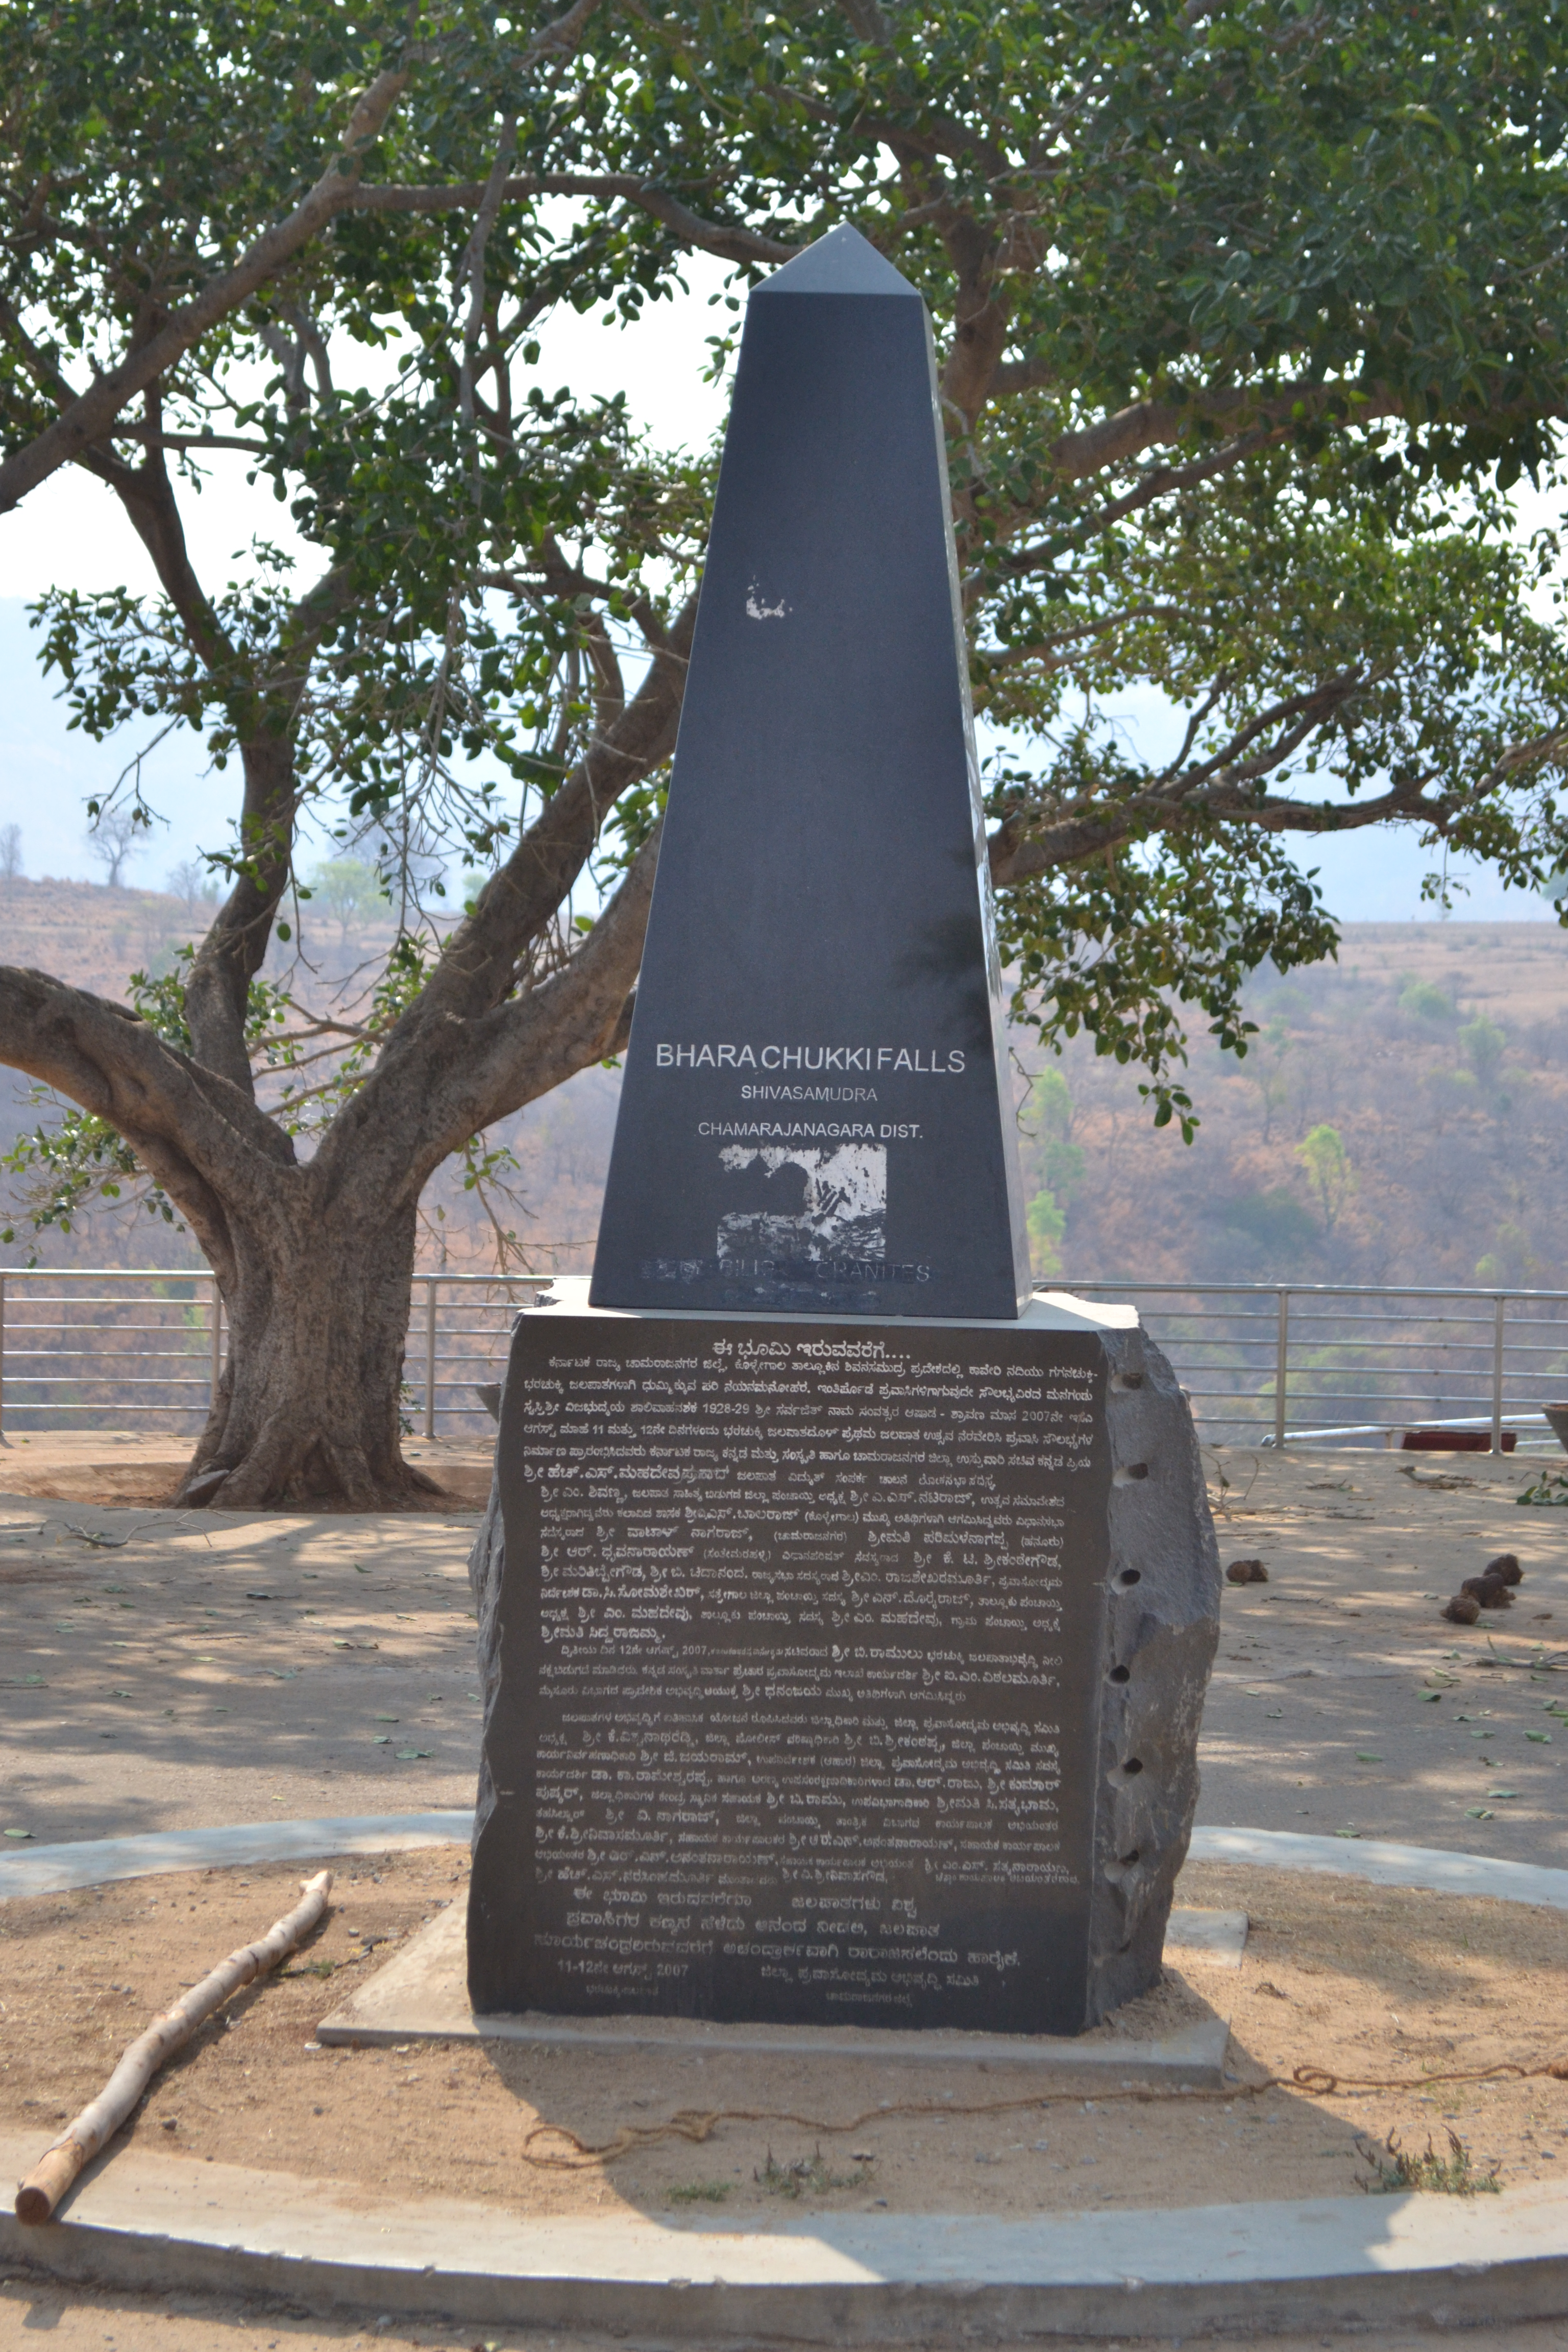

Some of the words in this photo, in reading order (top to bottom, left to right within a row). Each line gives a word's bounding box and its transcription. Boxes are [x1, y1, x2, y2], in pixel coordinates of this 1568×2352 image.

[652, 1040, 877, 1073] BHARACHUKKI
[874, 1043, 968, 1074] FALLS
[736, 1081, 880, 1104] SHIVASAMUDRA
[694, 1118, 877, 1140] CHAMARAJANAGARA
[873, 1121, 924, 1142] DIST.
[709, 1331, 793, 1360] ಈಭೂಮಿ
[790, 1336, 889, 1363] ಇರುವವರೆಗೆ
[521, 1375, 567, 1397] ಭರಚುಕ್ಕಿ
[547, 1351, 593, 1372] ಕರ್ನಾಟಕ
[568, 1376, 638, 1392] ಜಲಪಾತಗಳಾಗಿ
[594, 1357, 623, 1373] ರಾಜ್ಯ
[625, 1357, 702, 1370] ಚಾಮರಾಜನಗರ
[640, 1377, 699, 1397] ಧುಮ್ಮಕ್ಕವ
[700, 1376, 721, 1394] ಪರಿ
[699, 1353, 729, 1375] ಜಿಲ್ಲೆ,
[730, 1354, 789, 1374] ಕೊಳ್ಳೇಗಾಲ
[723, 1377, 813, 1395] ನಯನಮನೋಹರ
[788, 1359, 841, 1377] ತಾಲ್ಲೂಕಿನ
[816, 1378, 875, 1397] ಇಂತಿರ್ಪೊಡ
[840, 1359, 907, 1379] ಶಿವನಸಮುದ್ರ
[877, 1379, 977, 1402] ಪ್ರವಾಸಿಗಳಿಗಾಗುವುದೇ
[909, 1360, 965, 1380] ಪ್ರದೇಶದಲ್ಲಿ
[966, 1361, 1004, 1379] ಕಾವೇರಿ
[973, 1385, 1044, 1404] ಸೌಲಭ್ಯವಿರದ
[1004, 1361, 1046, 1380] ನದಿಯು
[1045, 1385, 1095, 1404] ಮನಗಂಡು
[1045, 1364, 1098, 1386] ಗಗನಚುಕ್ಕಿ
[521, 1418, 559, 1439] ಆಗಸ್ಟ್
[521, 1395, 562, 1418] ಸ್ವಸ್ತಿಶ್ರೀ
[521, 1443, 568, 1459] ನಿರ್ಮಾಣ
[558, 1417, 591, 1438] ಮಾಹ
[563, 1398, 627, 1418] ವಿಜಭುದ್ಯಯ
[590, 1423, 606, 1437] 11
[565, 1440, 649, 1461] ಪ್ರಾರಂಭಿಸಿದವರು
[605, 1420, 640, 1442] ಮತ್ತು
[522, 1459, 731, 1484] ಶ್ರೀ ಹೆಚ್.ಎಸ್.ಮಹದೇವ ಪ್ರಸಾದ್
[639, 1422, 667, 1438] 12ನೇ
[628, 1398, 700, 1415] ಶಾಲಿವಾಹನಶಕ
[646, 1441, 692, 1459] ಕರ್ನಾಟಕ
[665, 1418, 722, 1437] ದಿನಗಳಂಮ
[691, 1446, 721, 1465] ರಾಜ್ಯ
[701, 1400, 751, 1415] 1928-29
[718, 1442, 750, 1465] ಕನ್ನಡ
[720, 1422, 764, 1443] ಭರಚುಕ್ಕಿ
[736, 1466, 778, 1484] ಜಲಪಾತ
[753, 1400, 774, 1420] ಶ್ರೀ
[750, 1444, 781, 1465] ಮತ್ತು
[773, 1399, 823, 1418] ಸರ್ವಜಿತ್
[778, 1443, 819, 1466] ಸಂಸ್ಕೃತಿ
[765, 1424, 840, 1440] ಜಲವಾತದೊಳ್
[785, 1468, 827, 1488] ವಿದ್ಯುತ್
[815, 1445, 852, 1462] ಹಾಗೂ
[826, 1402, 858, 1418] ನಾಮ
[833, 1469, 868, 1486] ಸಂಪರ್ಕ
[837, 1424, 879, 1444] ಪ್ರಥಮ
[856, 1403, 901, 1424] ಸಂವತ್ಸರ
[853, 1448, 926, 1464] ಚಾಮರಾಜನಗರ
[876, 1469, 910, 1486] ಚಾಲನ
[878, 1427, 922, 1442] ಜಲಪಾತ
[904, 1403, 939, 1421] ಆಷಾಡ
[921, 1426, 958, 1448] ಉತ್ಸವ
[926, 1451, 955, 1468] ಜಲ್ಲಾ
[914, 1471, 969, 1488] ಲೋಕಸಭಾ
[946, 1406, 987, 1425] ಶ್ರಾವಣ
[954, 1425, 1003, 1445] ನರವೇರಿಸಿ
[953, 1450, 1008, 1471] ಉಸ್ತುವಾರಿ
[987, 1408, 1018, 1424] ಮಾಸ
[1005, 1450, 1037, 1469] ಸಚಿವ
[1004, 1429, 1041, 1448] ಪ್ರವಾಸ
[1018, 1407, 1065, 1426] 2007ನೇ
[1035, 1453, 1067, 1472] ಕನ್ನಡ
[1040, 1429, 1094, 1452] ಸೌಲಭೃಗಳ
[1064, 1455, 1092, 1475] ಪ್ರಿಯ
[1068, 1408, 1097, 1428] ಇಸೆಎ